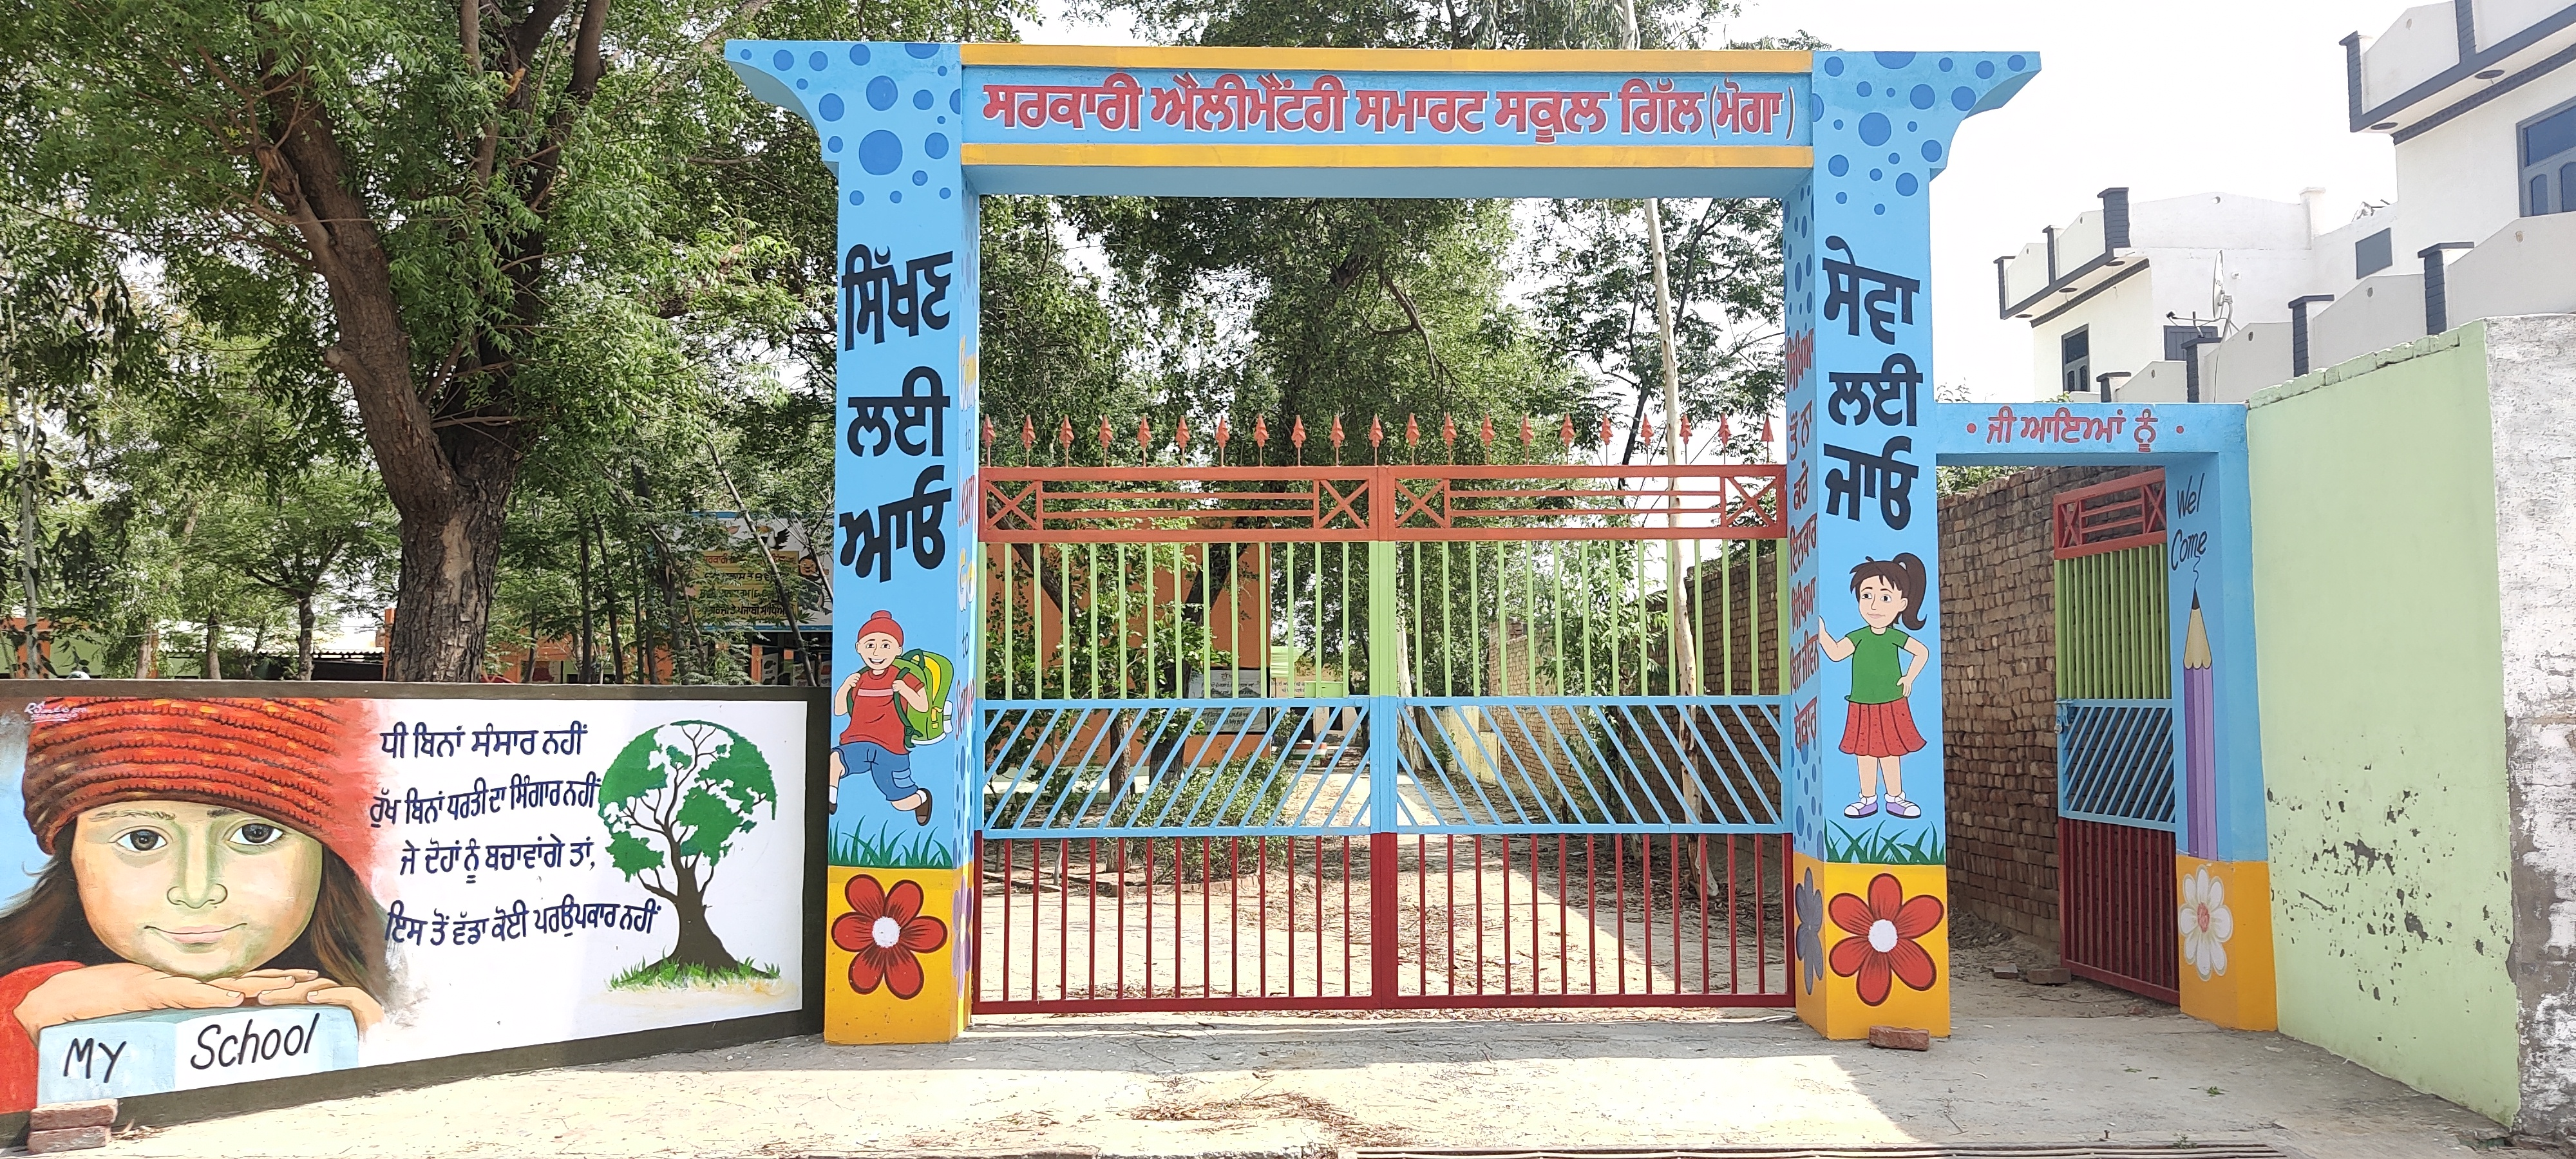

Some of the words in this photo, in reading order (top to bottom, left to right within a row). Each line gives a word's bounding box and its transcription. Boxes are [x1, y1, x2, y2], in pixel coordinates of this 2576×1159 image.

[972, 67, 1148, 139] ਸਰਕਾਰੀ
[1146, 65, 1354, 138] ਐਲੀਮੈਂਟਰੀ
[1350, 84, 1493, 144] ਸਮਾਰਟ
[1490, 87, 1612, 147] ਸਕੂਲ
[1613, 72, 1710, 144] ਗਿੱਲ
[1710, 75, 1791, 142] ਮੋਗਾ
[837, 236, 956, 361] ਸਿੱਖਣ
[1816, 231, 1926, 349] ਸੇਵਾ
[838, 361, 956, 464] ਲਈ
[1787, 404, 1799, 464] ਤੋਂ
[1799, 392, 1815, 453] ਨਾ
[1821, 345, 1933, 431] ਲਈ
[1983, 403, 2020, 449] ਜੀ
[2018, 404, 2132, 450] ਆਇਆਂ
[2126, 405, 2166, 453] ਨੂੰ
[1787, 456, 1813, 516] ਕਰੇ
[1819, 432, 1925, 539] ਜਾਓ
[2169, 466, 2213, 522] Wel
[835, 460, 958, 593] ਆਓ
[1786, 508, 1819, 581] ਇਨਕਾਰ
[2169, 522, 2213, 577] Come
[375, 718, 410, 764] यी
[409, 717, 468, 763] ਬਿਨਾਂ
[467, 716, 540, 759] ਸੰਸਾਰ
[539, 717, 588, 757] ਨਹੀ
[1790, 688, 1824, 752] ਬੇਕਾਰ
[364, 781, 402, 833] ਰੁੱਖ
[400, 784, 447, 828] ਬਿਨਾਂ
[444, 774, 509, 824] ਧਰਤੀ ਦਾ
[507, 771, 565, 813] ਸਿੰਗਾਰ
[561, 766, 606, 810] ਨਹੀ
[395, 838, 421, 880] ਜੇ
[422, 831, 463, 881] ਦੋਹਾਂ
[457, 834, 484, 887] ਨੂੰ
[482, 828, 569, 876] ਬਚਾਵਾਂਗੇ
[565, 831, 596, 869] ਡਾਂ
[379, 895, 430, 948] ਇਸ
[427, 903, 454, 952] ਤੋਂ
[448, 907, 492, 948] ਵੱਡਾ
[488, 894, 531, 946] ਕੋਈ
[530, 889, 625, 941] ਪਰਉਪਕਾਰ
[616, 896, 666, 939] ਨਹੀਂ
[56, 1035, 131, 1086] MY
[180, 1010, 324, 1079] School